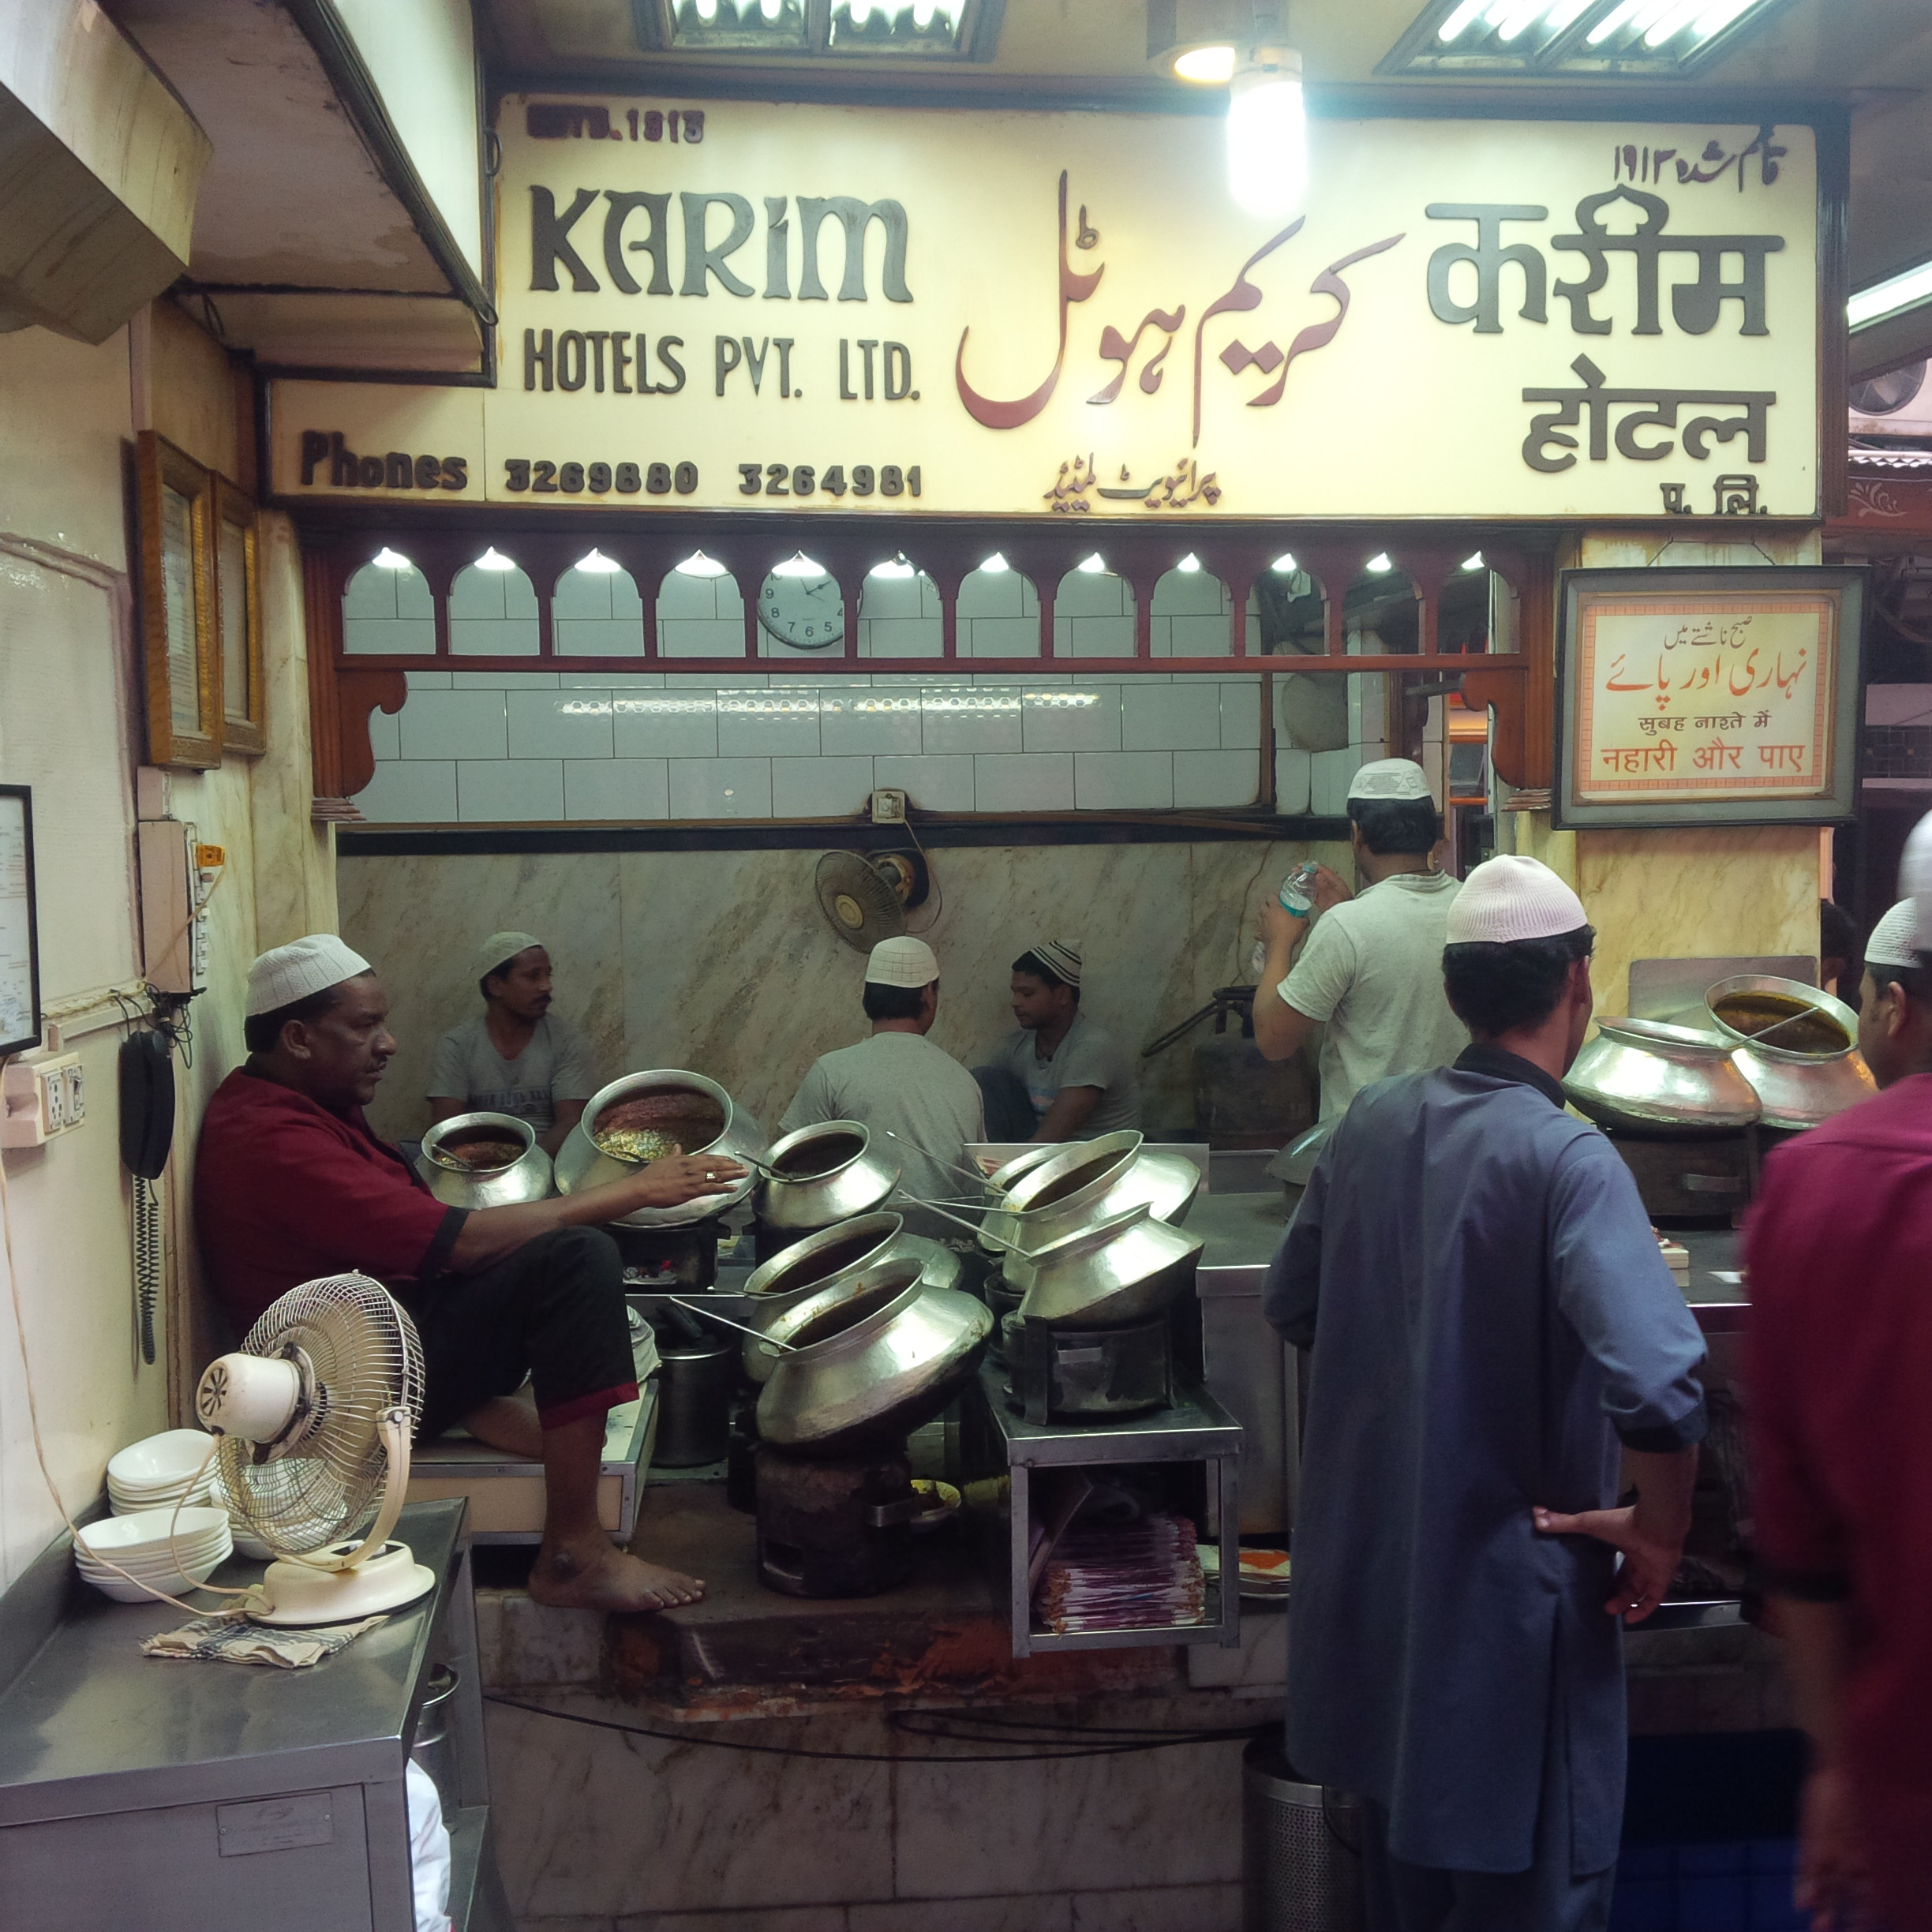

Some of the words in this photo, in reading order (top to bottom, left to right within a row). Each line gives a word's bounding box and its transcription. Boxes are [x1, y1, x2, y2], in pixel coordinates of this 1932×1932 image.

[524, 175, 918, 310] KARIM
[1418, 177, 1788, 342] करीम
[518, 320, 690, 397] HOTELS
[698, 325, 816, 412] PVT.
[824, 331, 929, 417] LTD.
[1508, 347, 1779, 482] होटल
[294, 423, 470, 496] Phones
[498, 451, 704, 496] 3269880
[732, 457, 929, 501] 3264981
[1657, 464, 1773, 523] प. लि.
[1601, 643, 1816, 716] कुळकर
[1597, 730, 1678, 777] नहारी
[1633, 712, 1688, 743] सुबह
[1690, 732, 1743, 774] और
[1689, 706, 1747, 735] नाश्ते
[1743, 703, 1775, 730] में
[1755, 739, 1807, 776] पाए